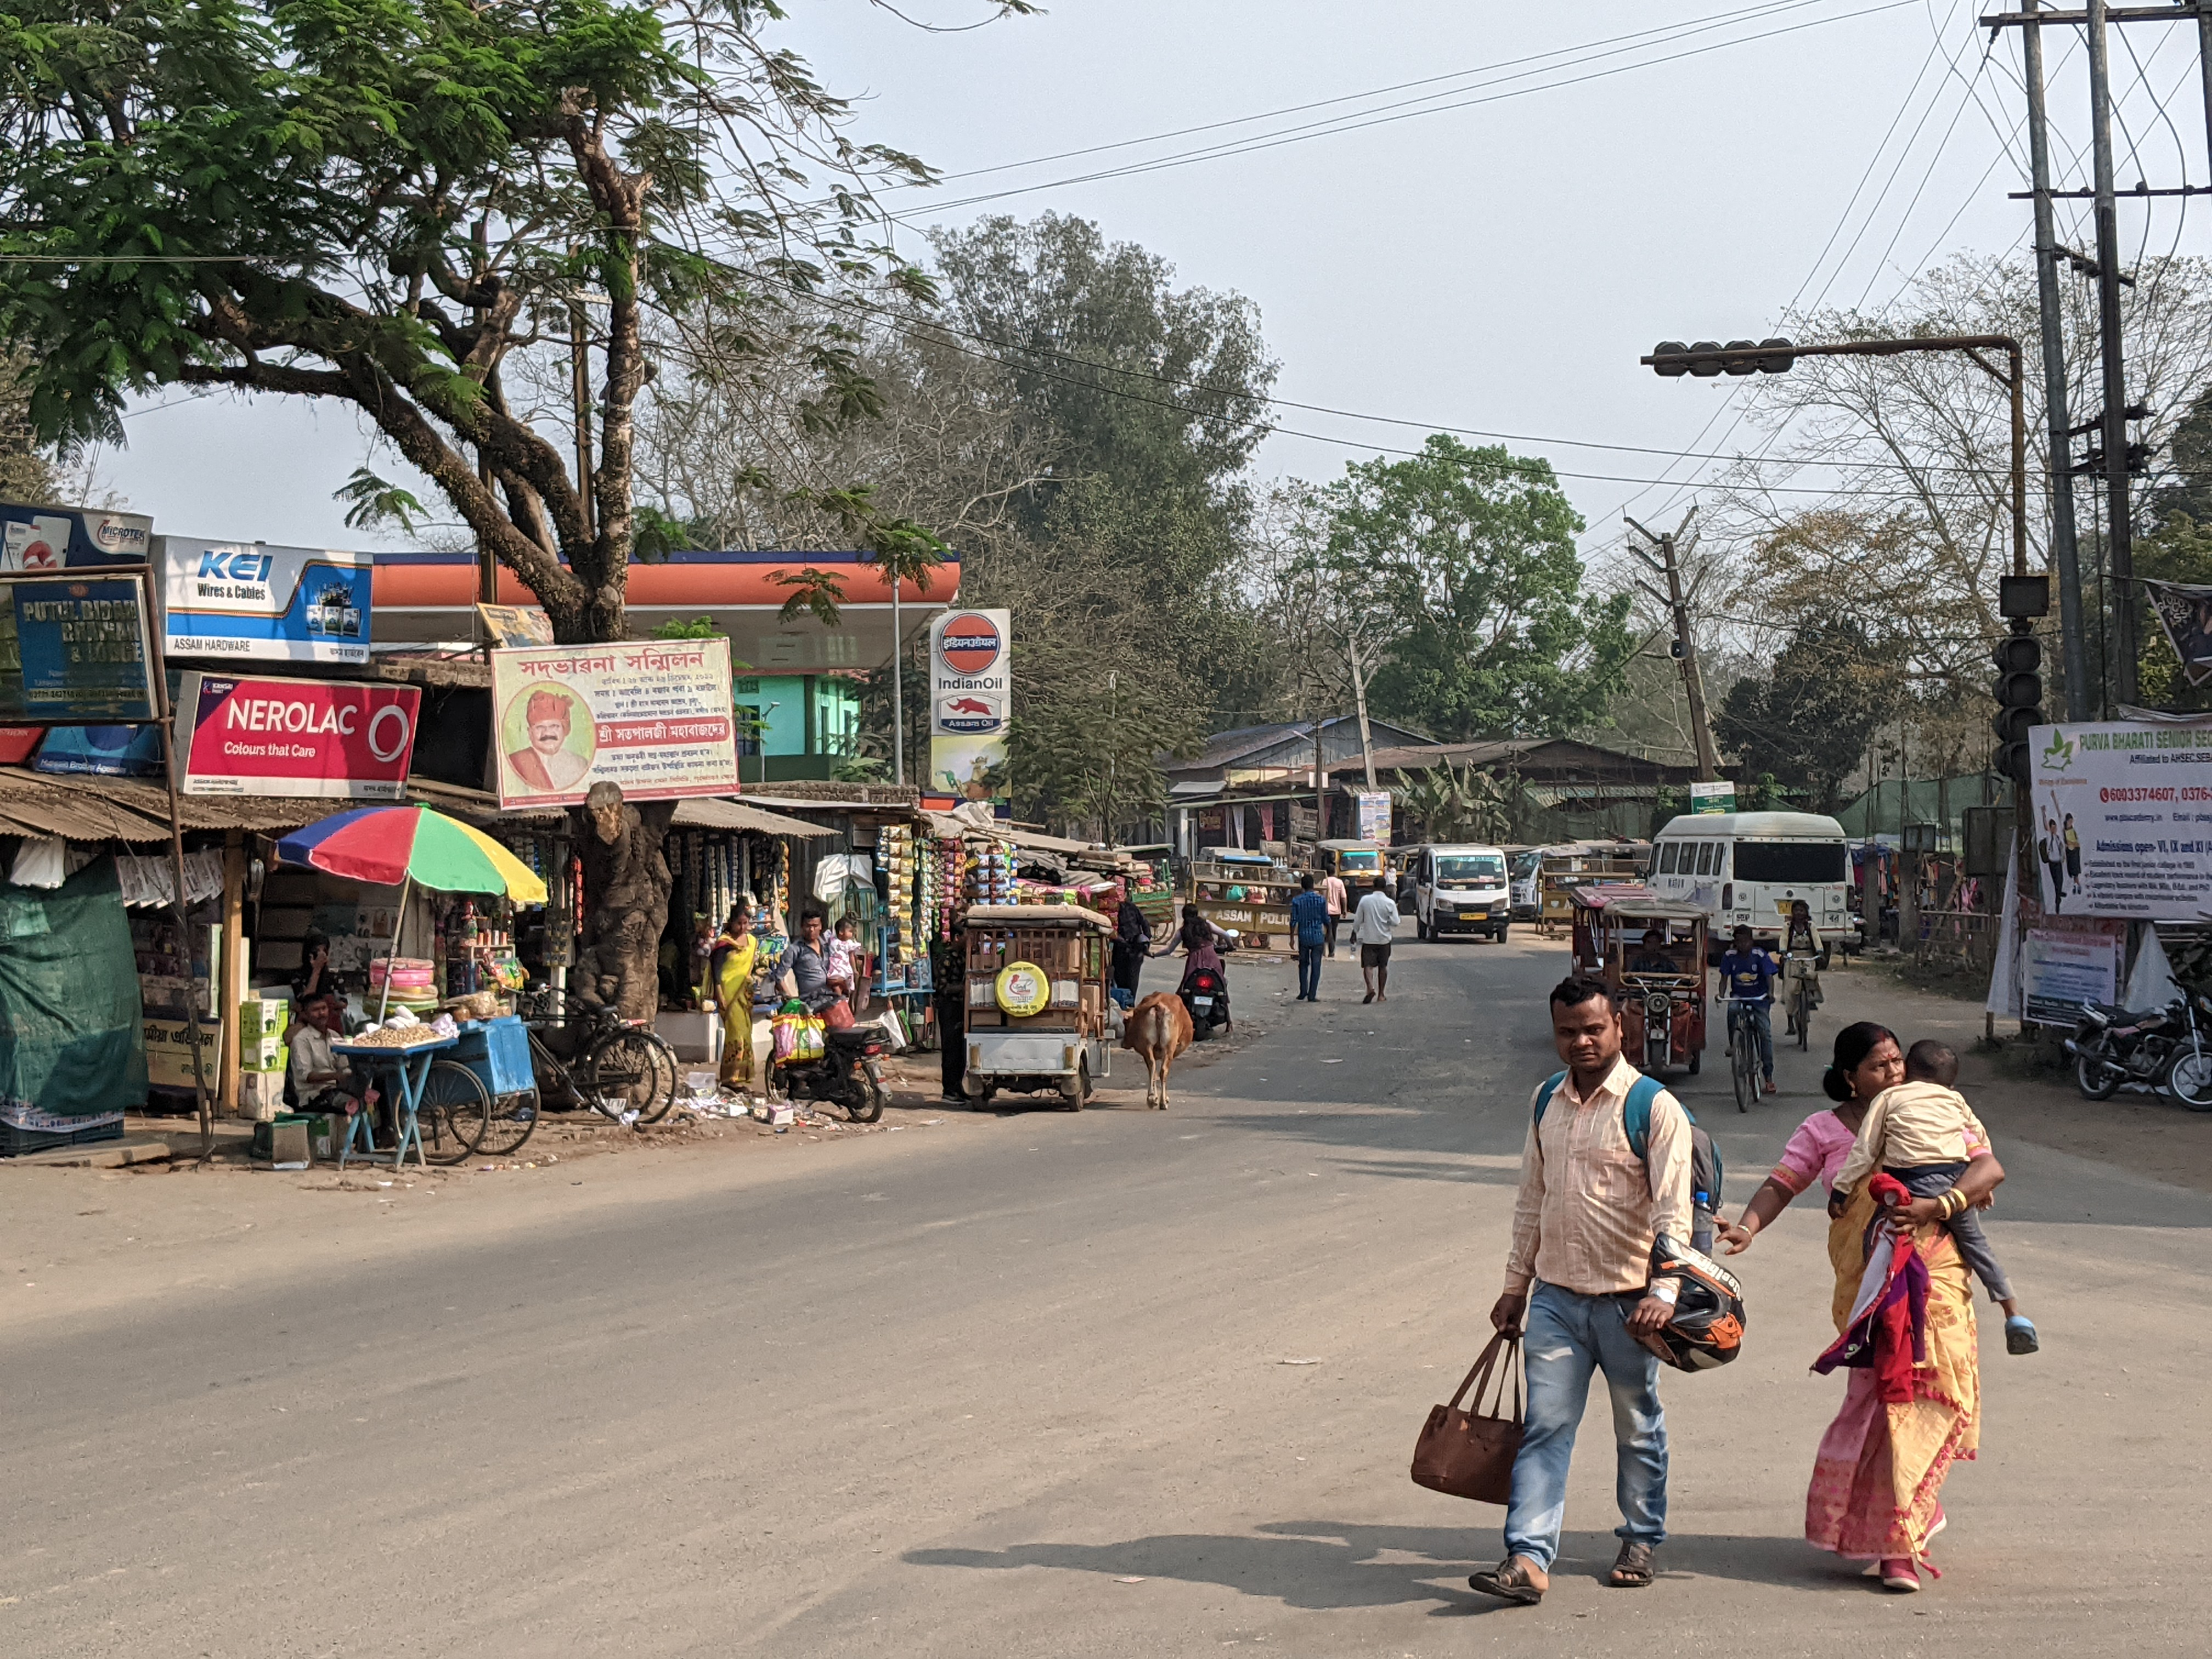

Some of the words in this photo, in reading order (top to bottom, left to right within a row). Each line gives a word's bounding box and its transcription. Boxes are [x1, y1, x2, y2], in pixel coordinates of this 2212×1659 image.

[194, 546, 276, 588] KEI
[194, 580, 227, 600] Wires
[222, 583, 237, 602] &
[230, 582, 269, 602] Cables
[19, 595, 84, 625] PUTUL
[171, 634, 207, 654] ASSAM
[202, 635, 252, 656] HARDWARE
[939, 630, 999, 652] (इंडियनऑयल)
[511, 647, 618, 681] সদভাৱনা
[620, 647, 704, 672] সন্মিলন
[938, 674, 1005, 692] IndianOil
[220, 736, 270, 759] Colours
[265, 738, 292, 759] that
[222, 695, 362, 740] NEROLAC
[288, 741, 321, 762] Care
[592, 721, 617, 744] শ্রী
[612, 718, 670, 742] সতপালজী
[667, 718, 728, 742] মহাৰাজদেৱ
[978, 715, 996, 729] Oil
[2076, 728, 2113, 756] PURVA
[2110, 725, 2160, 753] BHARATI
[2154, 725, 2196, 752] SENIOR